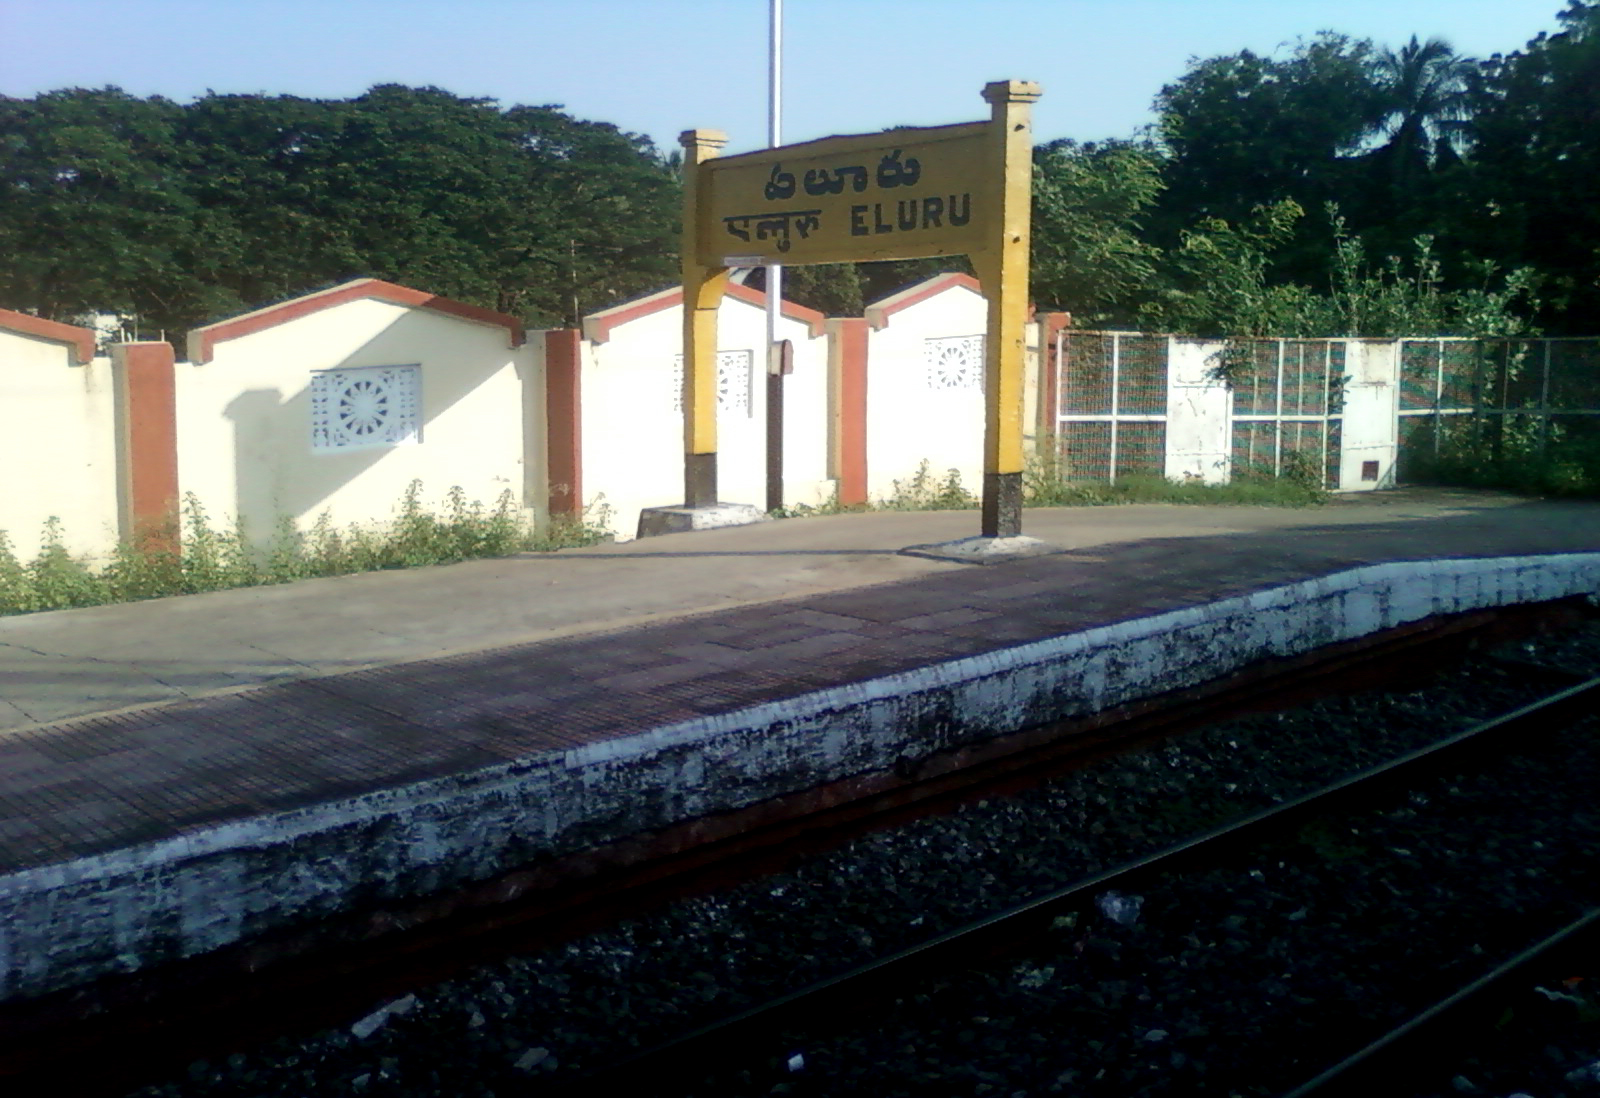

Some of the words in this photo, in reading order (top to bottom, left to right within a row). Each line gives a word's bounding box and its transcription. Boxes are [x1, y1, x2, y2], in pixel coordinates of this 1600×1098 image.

[753, 142, 929, 205] పలూరు
[719, 205, 823, 259] एलुरु
[845, 188, 975, 244] ELURU